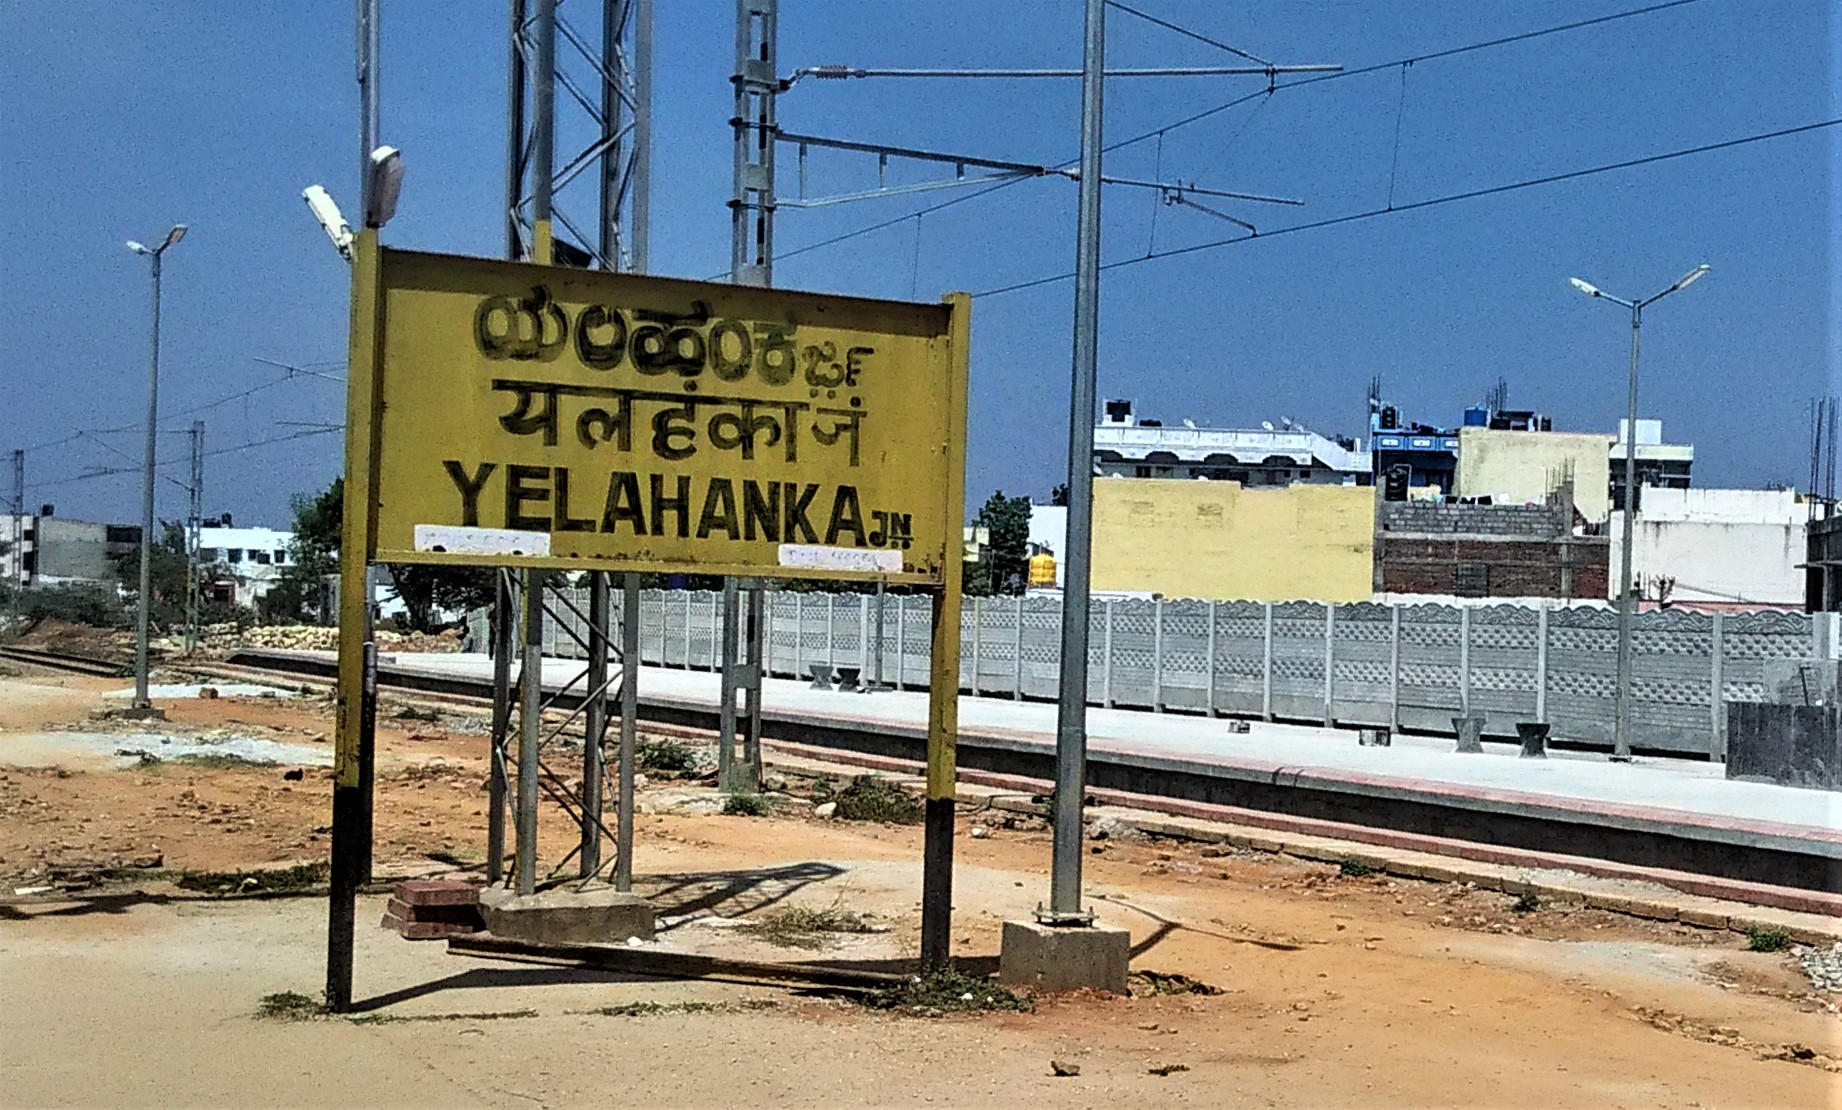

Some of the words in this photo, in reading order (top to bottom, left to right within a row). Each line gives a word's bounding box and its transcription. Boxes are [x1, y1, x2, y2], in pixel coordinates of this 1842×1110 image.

[455, 278, 879, 404] ಯಲಹಂಕರ್ಜ಼
[494, 370, 874, 472] यलहंका जं
[439, 454, 917, 556] YELAHANKAJN